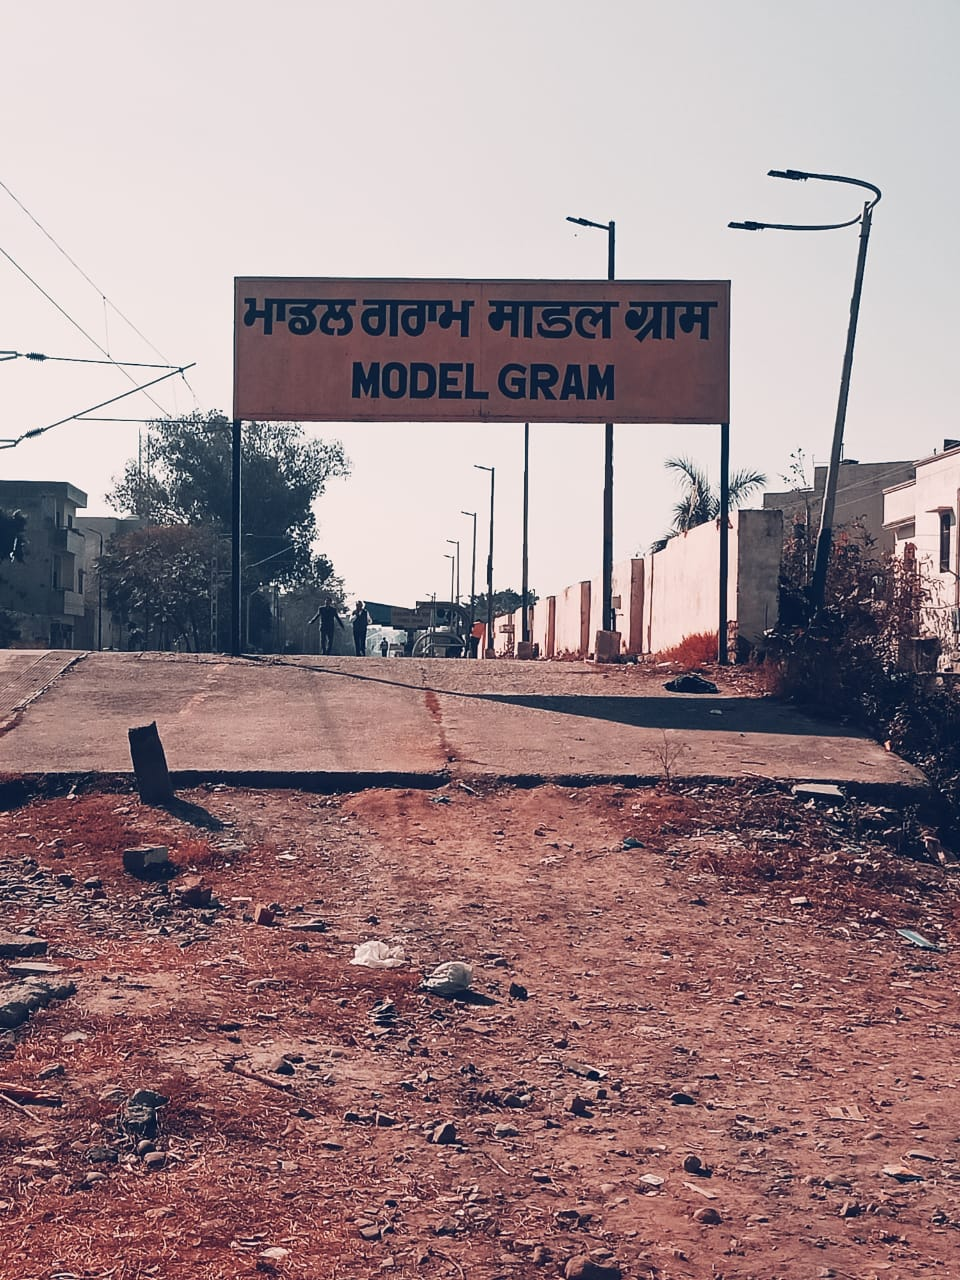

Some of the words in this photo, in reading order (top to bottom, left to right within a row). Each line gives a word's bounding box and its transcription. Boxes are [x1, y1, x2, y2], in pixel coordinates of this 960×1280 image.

[237, 290, 359, 342] ਮਾਡਲ
[357, 291, 482, 340] ਗਰਾਮ
[481, 291, 624, 344] माडल
[621, 294, 722, 354] ग्राम
[340, 354, 495, 406] MODEL
[492, 354, 624, 407] GRAM